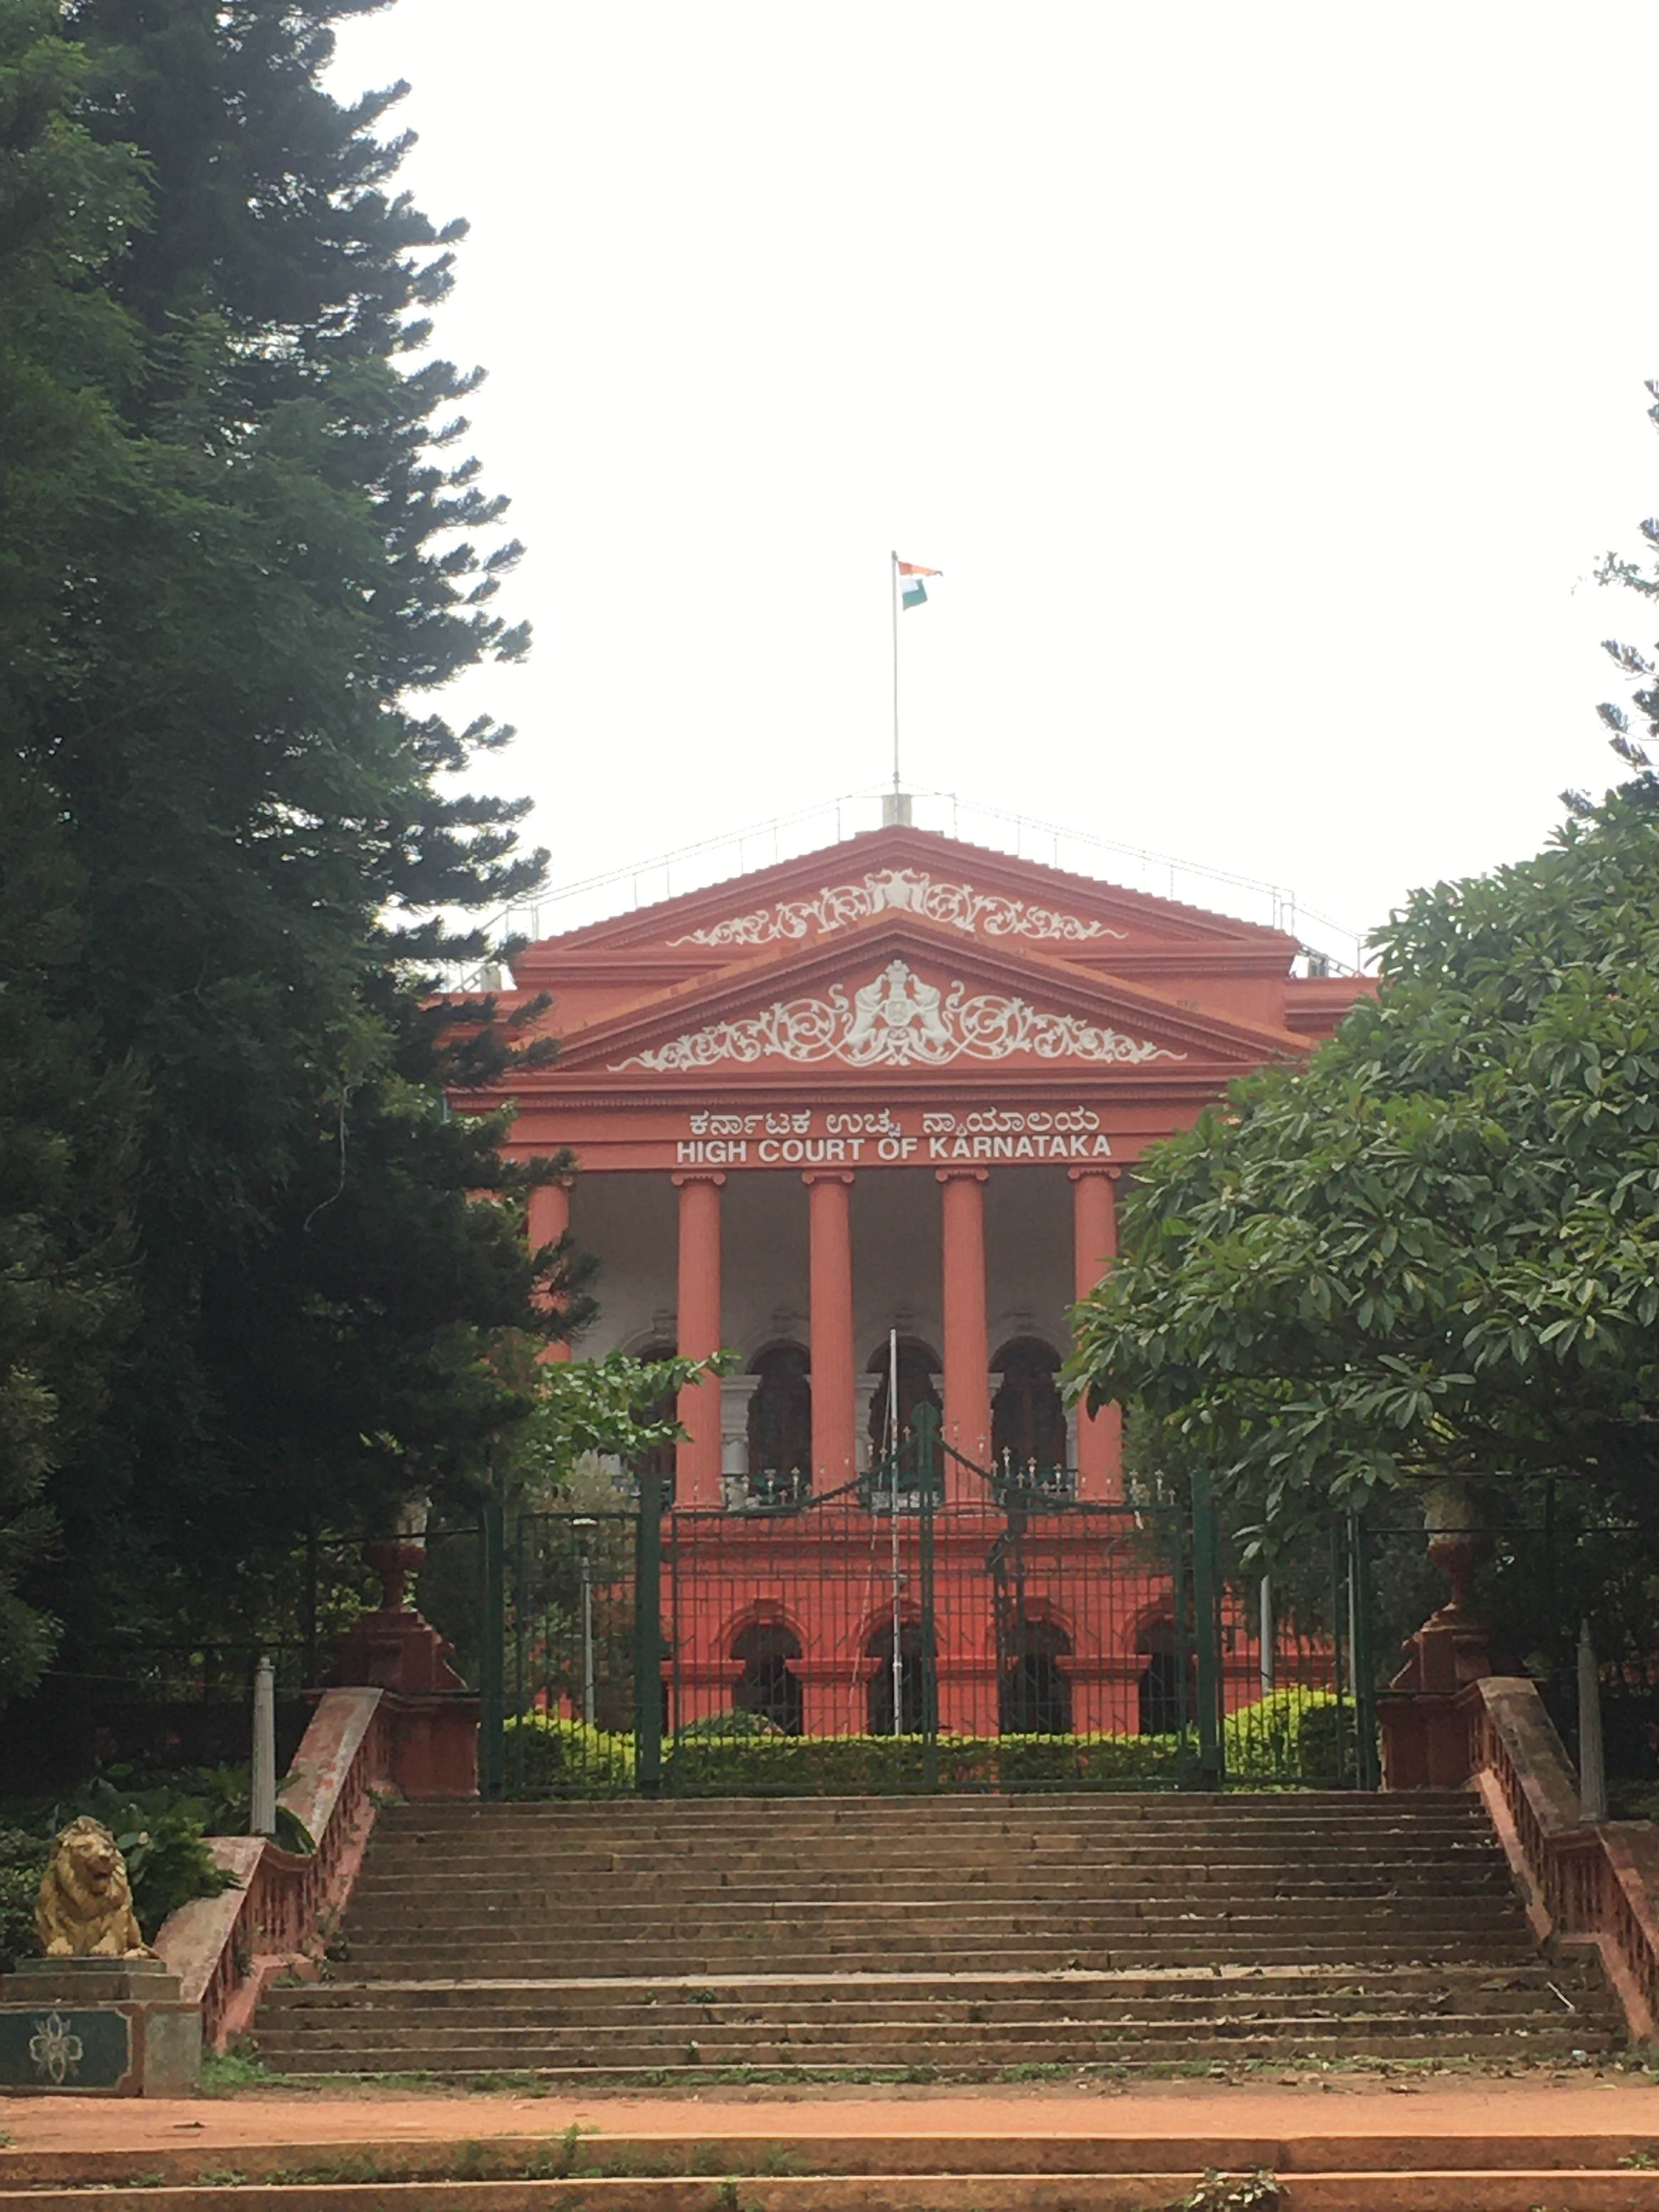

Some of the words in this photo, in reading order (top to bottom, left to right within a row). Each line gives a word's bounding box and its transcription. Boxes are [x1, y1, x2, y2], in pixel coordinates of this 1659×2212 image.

[686, 1108, 817, 1138] ಕರ್ನಾಟಕ
[819, 1104, 903, 1139] ಉಚ್ಟ
[918, 1103, 1104, 1138] ನ್ಯಾಯಾಲಯ
[671, 1139, 750, 1166] HIGH
[754, 1135, 869, 1164] COURT
[926, 1131, 1115, 1160] KARNATAKA